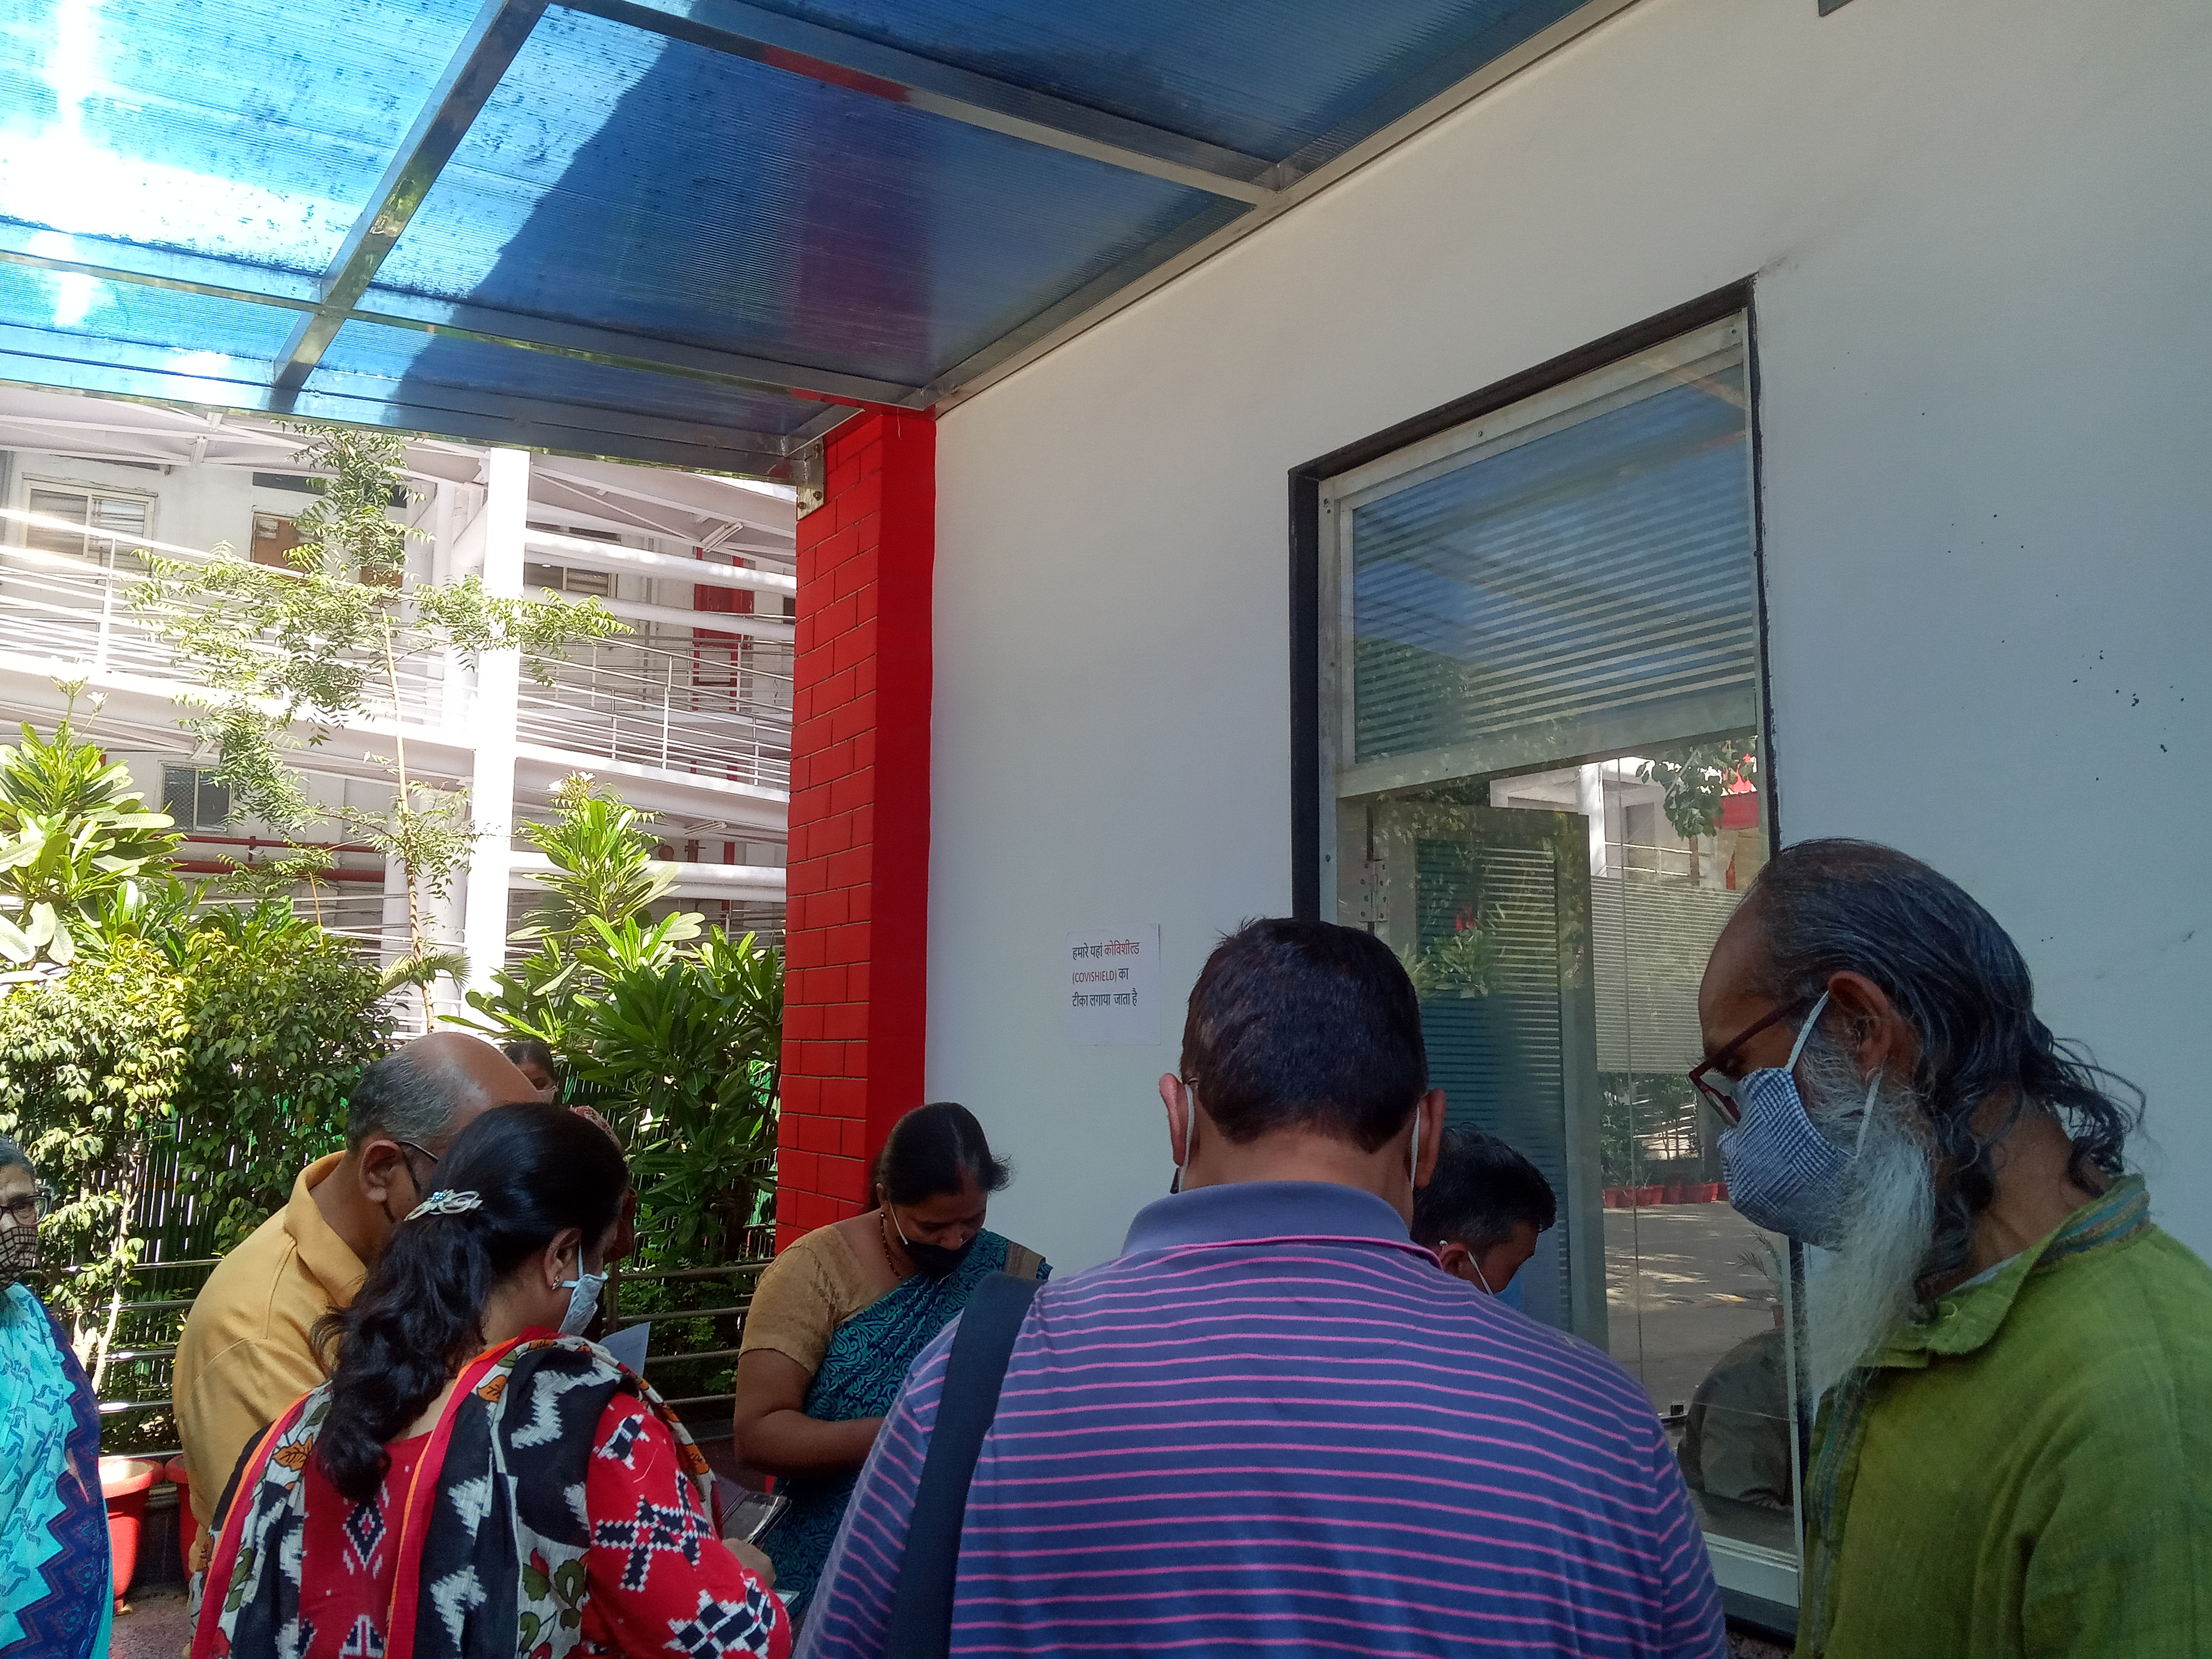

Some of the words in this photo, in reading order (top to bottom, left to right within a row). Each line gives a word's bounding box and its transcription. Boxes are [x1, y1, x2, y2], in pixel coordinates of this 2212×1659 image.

[1069, 941, 1090, 961] हमारे
[1088, 941, 1104, 959] यहां
[1104, 937, 1141, 958] कोविशील्ड
[1073, 970, 1115, 984] COVISHIELD
[1118, 966, 1130, 981] का
[1071, 988, 1089, 1009] टीका
[1090, 993, 1111, 1007] लगाया
[1114, 991, 1130, 1007] जाता
[1129, 986, 1138, 1008] है